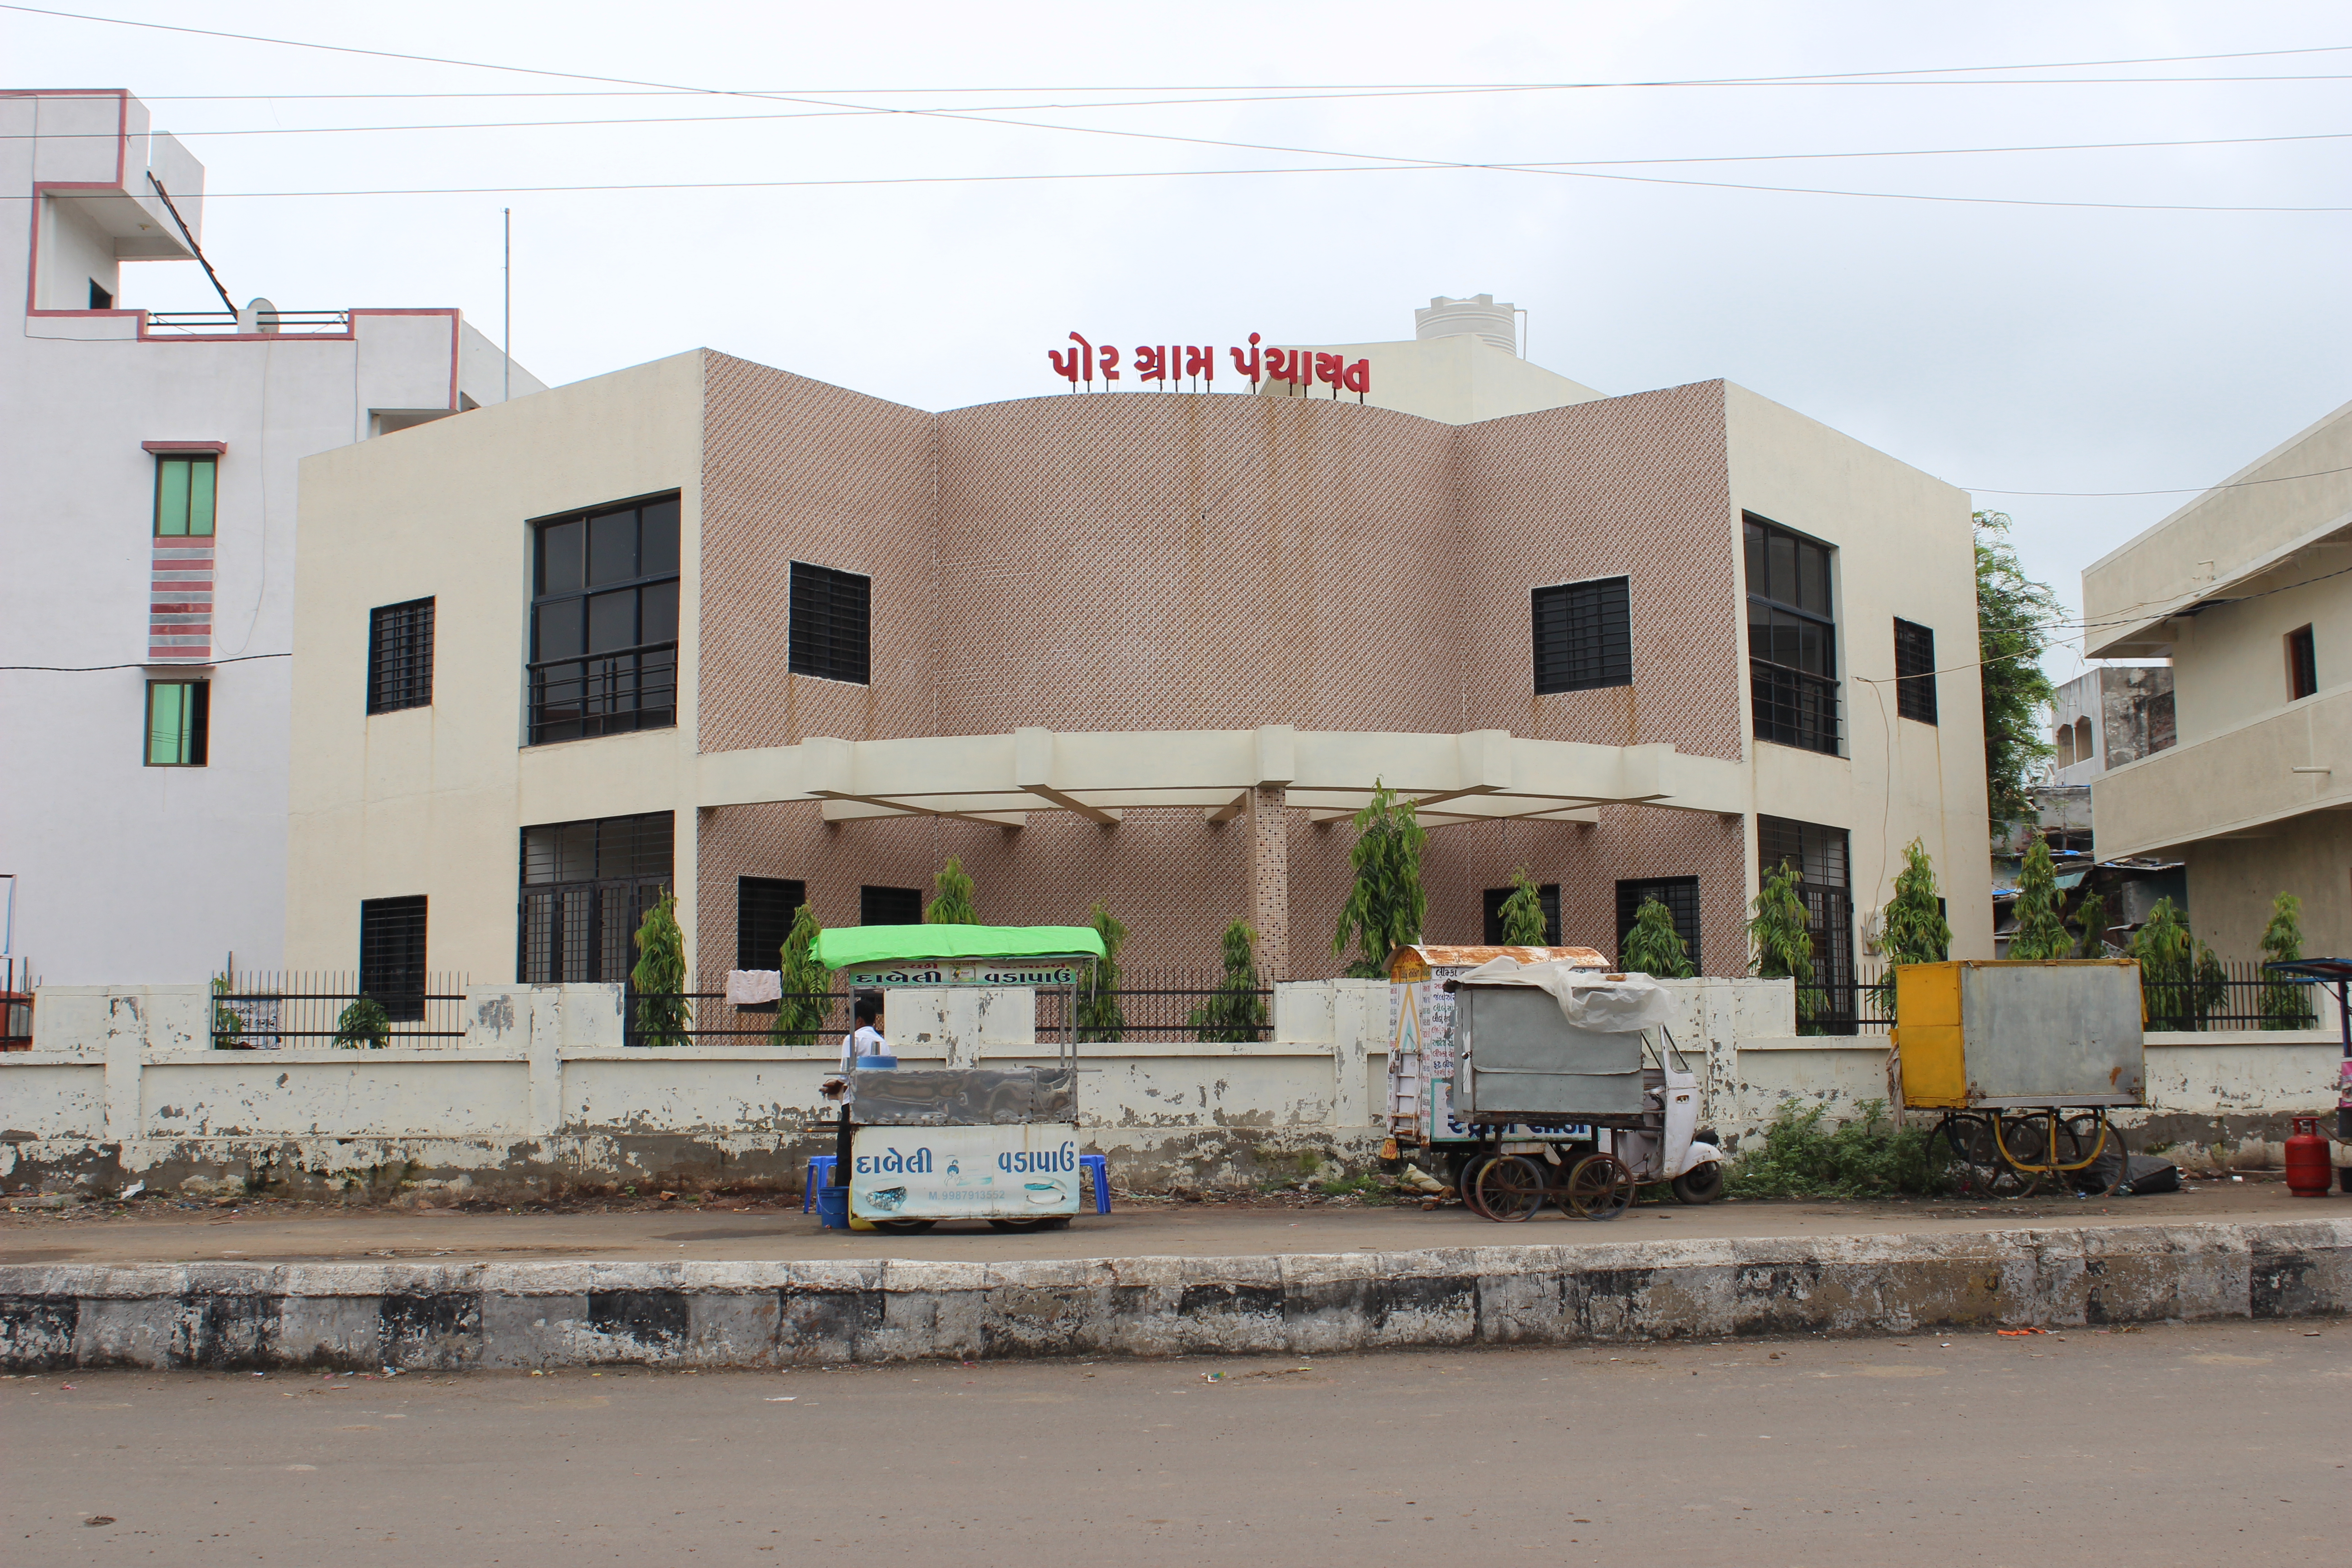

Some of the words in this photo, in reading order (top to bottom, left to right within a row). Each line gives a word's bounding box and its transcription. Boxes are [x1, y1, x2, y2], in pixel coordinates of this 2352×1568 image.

[1043, 328, 1123, 390] પોર
[1126, 342, 1216, 385] ગ્રામ
[1222, 328, 1373, 401] પંચાયત
[851, 968, 943, 985] દાબેલી
[983, 966, 1073, 985] વડાપાઉં
[1428, 963, 1460, 978] લીમ્કા
[852, 1143, 937, 1177] દાબેલી
[995, 1139, 1077, 1177] વડાપાઉં
[924, 1190, 939, 1201] M
[941, 1189, 1005, 1200] 9987913552